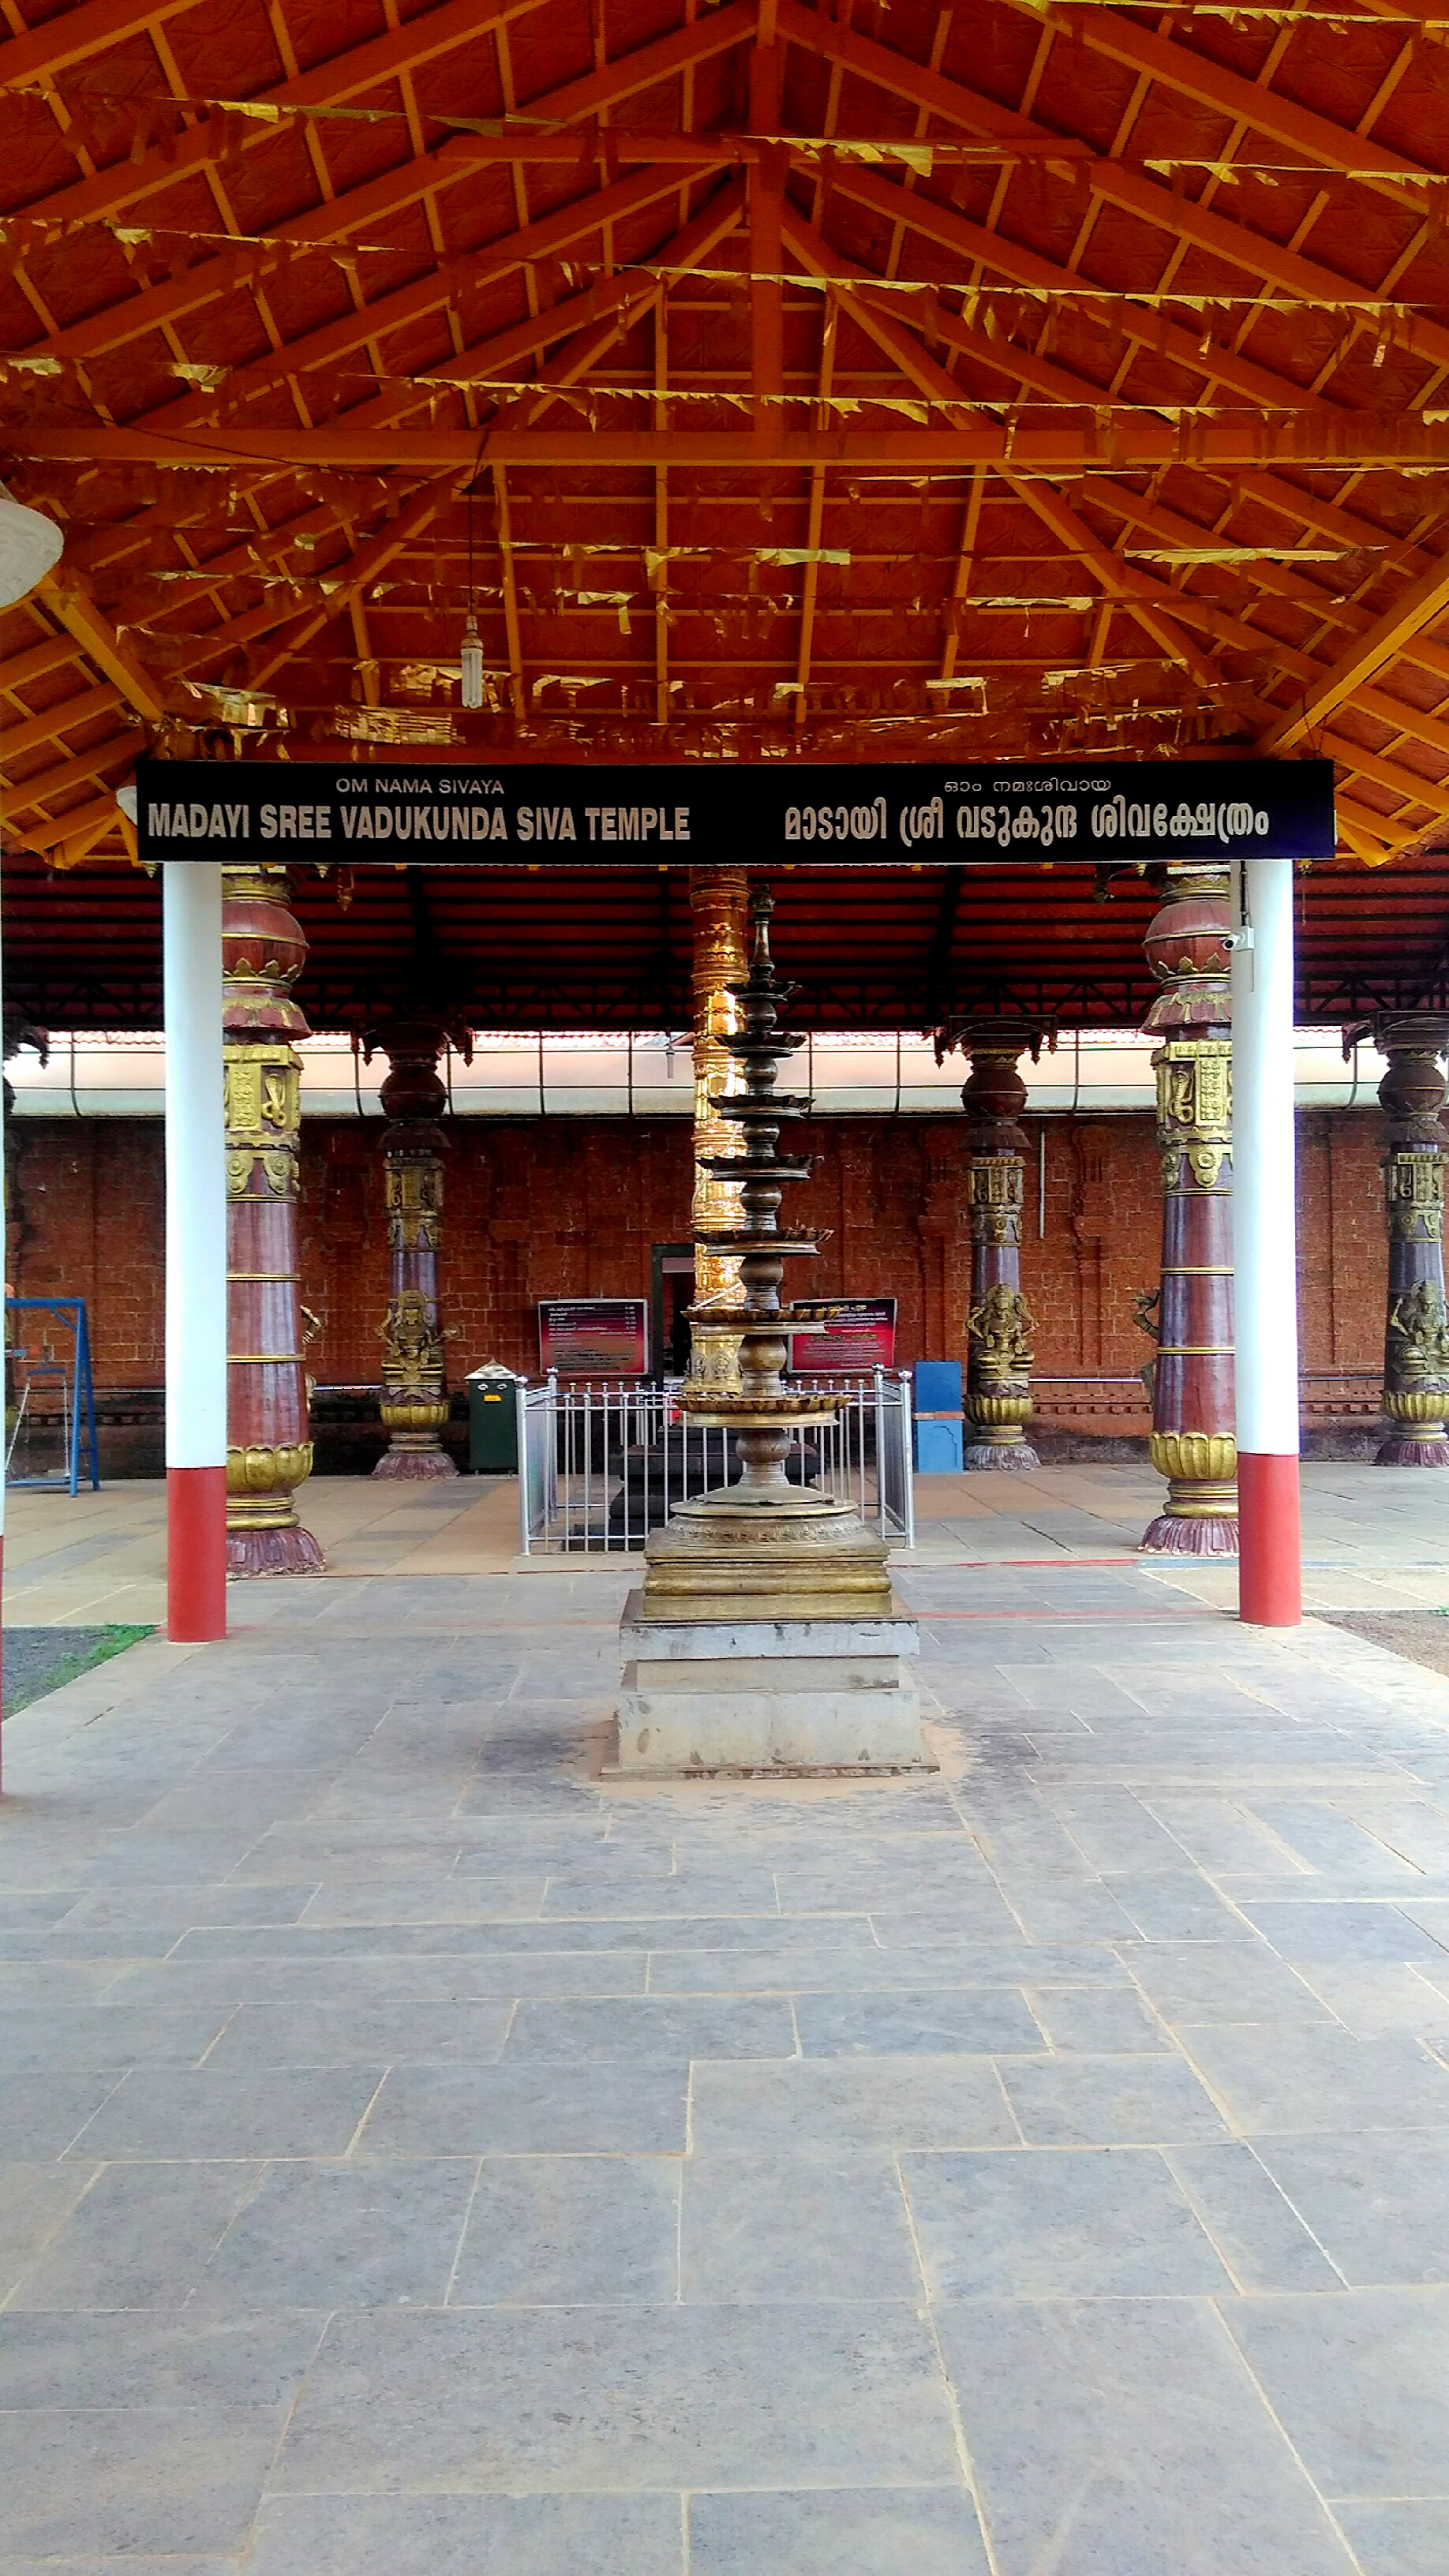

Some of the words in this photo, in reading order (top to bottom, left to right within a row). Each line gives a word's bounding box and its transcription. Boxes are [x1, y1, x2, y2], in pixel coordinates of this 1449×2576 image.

[329, 774, 372, 797] OM
[370, 771, 436, 799] NAMA
[432, 772, 510, 800] SIVAYA
[934, 775, 989, 802] ഓം
[987, 769, 1115, 799] നമഃശിവായ
[142, 795, 256, 844] MADAYI
[254, 801, 337, 847] SREE
[337, 799, 511, 844] VADUKUNDA
[512, 803, 579, 851] SIVA
[578, 801, 695, 848] TEMPLE
[774, 788, 890, 847] മാടായി
[887, 788, 950, 852] ശ്രീ
[954, 795, 1082, 856] വടുകുന്ദ
[1083, 788, 1276, 847] ശിവക്ഷേത്രം